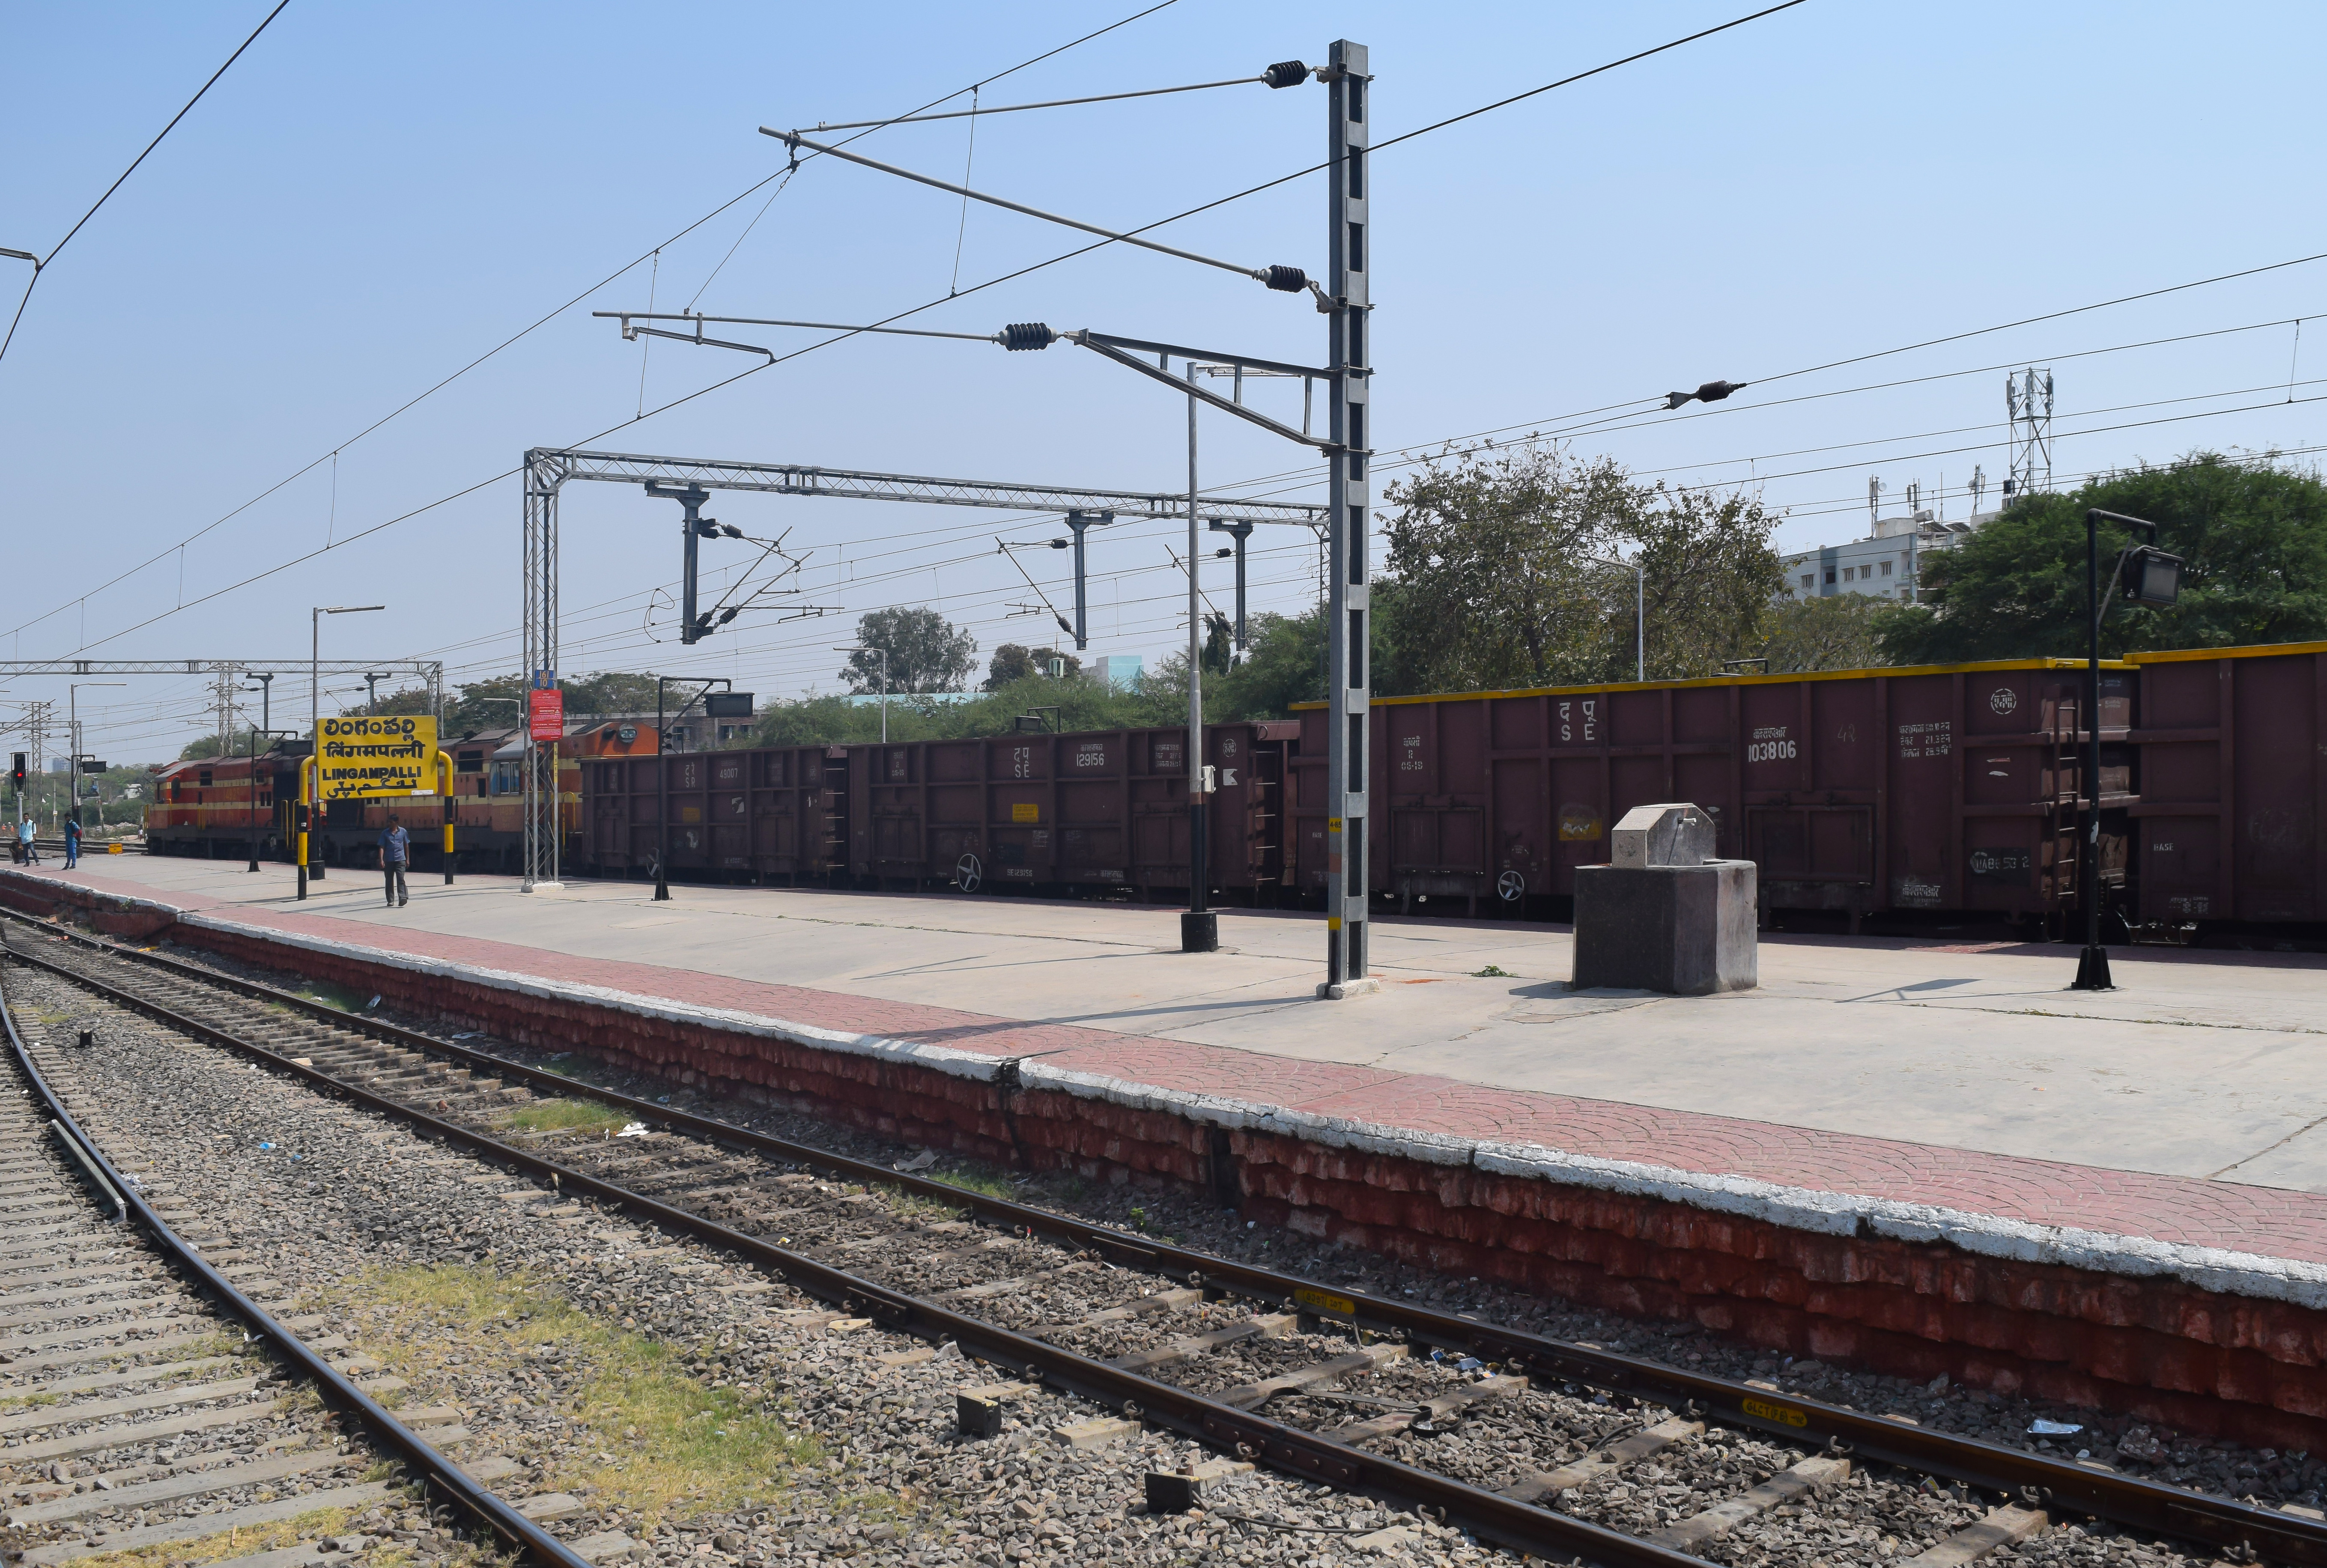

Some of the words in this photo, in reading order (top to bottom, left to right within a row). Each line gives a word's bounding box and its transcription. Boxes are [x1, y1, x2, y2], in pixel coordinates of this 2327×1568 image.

[322, 715, 416, 743] లింగంపల్లి
[320, 738, 427, 761] लिंगमपल्ली
[1074, 751, 1106, 770] 129156
[1745, 739, 1799, 767] 103806
[1895, 735, 1917, 748] टेयर
[1923, 743, 1951, 758] 28.9मी2
[1923, 732, 1954, 748] 21.3 टन
[322, 765, 423, 784] LINGAMPALLI